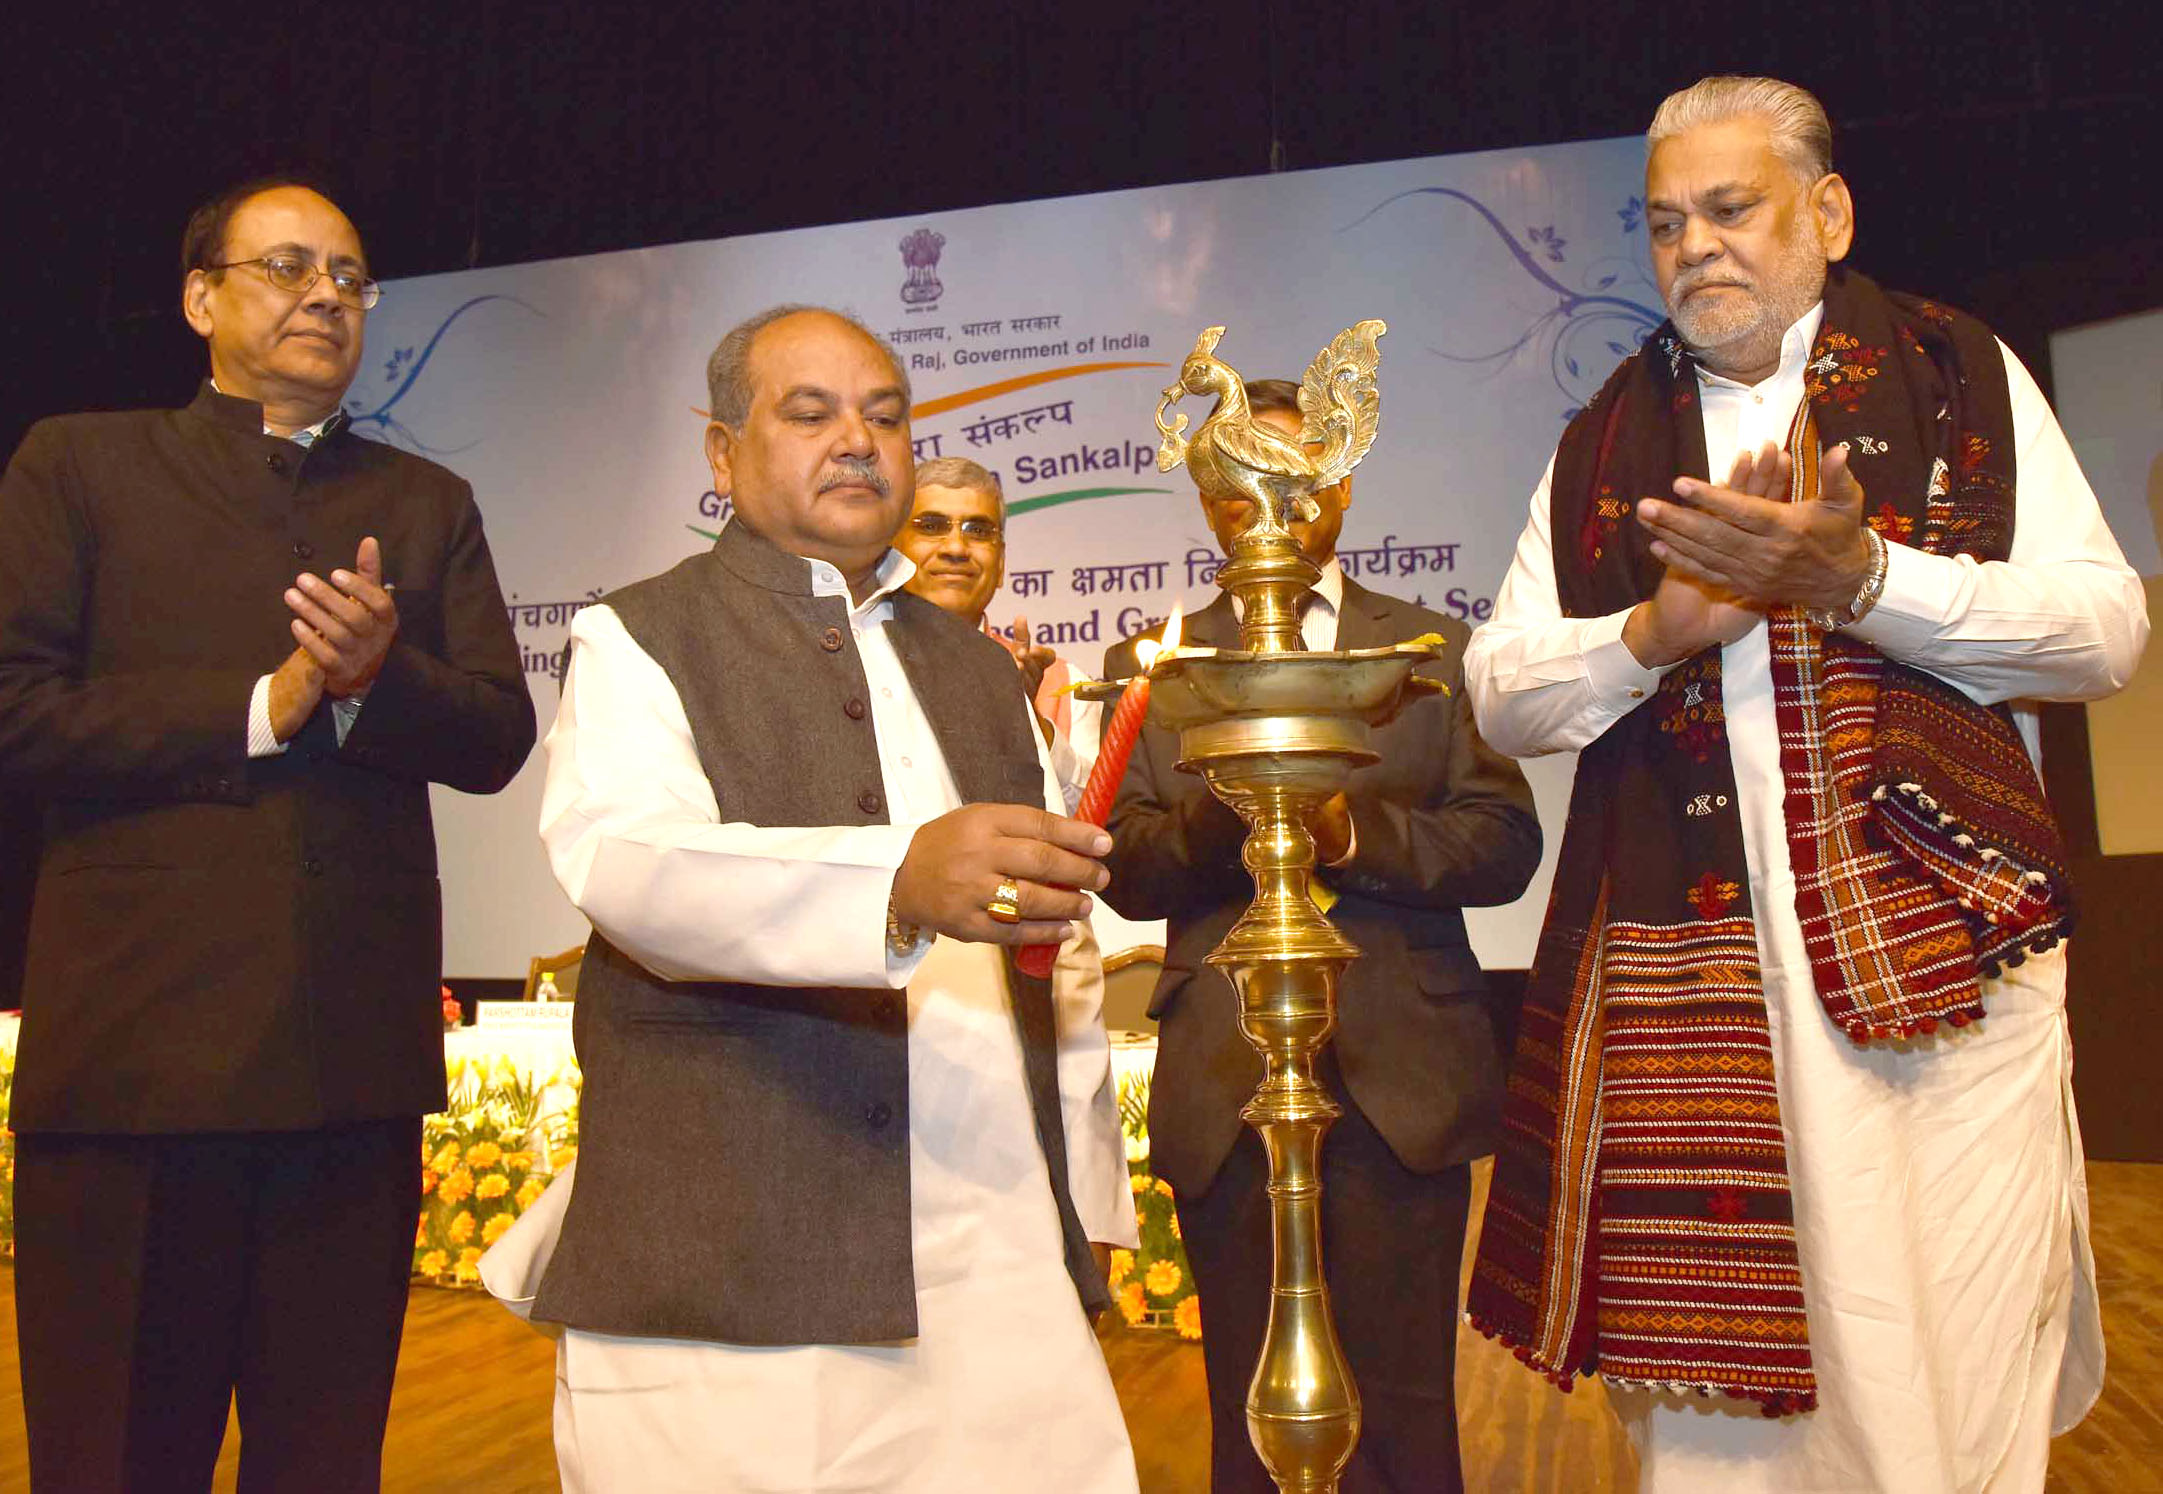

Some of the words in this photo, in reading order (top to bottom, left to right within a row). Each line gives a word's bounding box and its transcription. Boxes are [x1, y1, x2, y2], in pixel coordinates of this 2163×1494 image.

[883, 319, 950, 349] मंत्रालय
[909, 347, 947, 379] Raj,
[955, 317, 1006, 343] भारत
[951, 337, 1072, 369] Government
[1011, 312, 1064, 339] सरकार
[1073, 333, 1100, 358] of
[1097, 329, 1155, 356] India
[951, 394, 1080, 455] संकल्प
[1007, 435, 1161, 487] Sankalp
[1339, 527, 1465, 581] कार्यक्रम
[1000, 564, 1052, 601] का
[1066, 558, 1172, 597] क्षमता
[1033, 607, 1103, 649] and